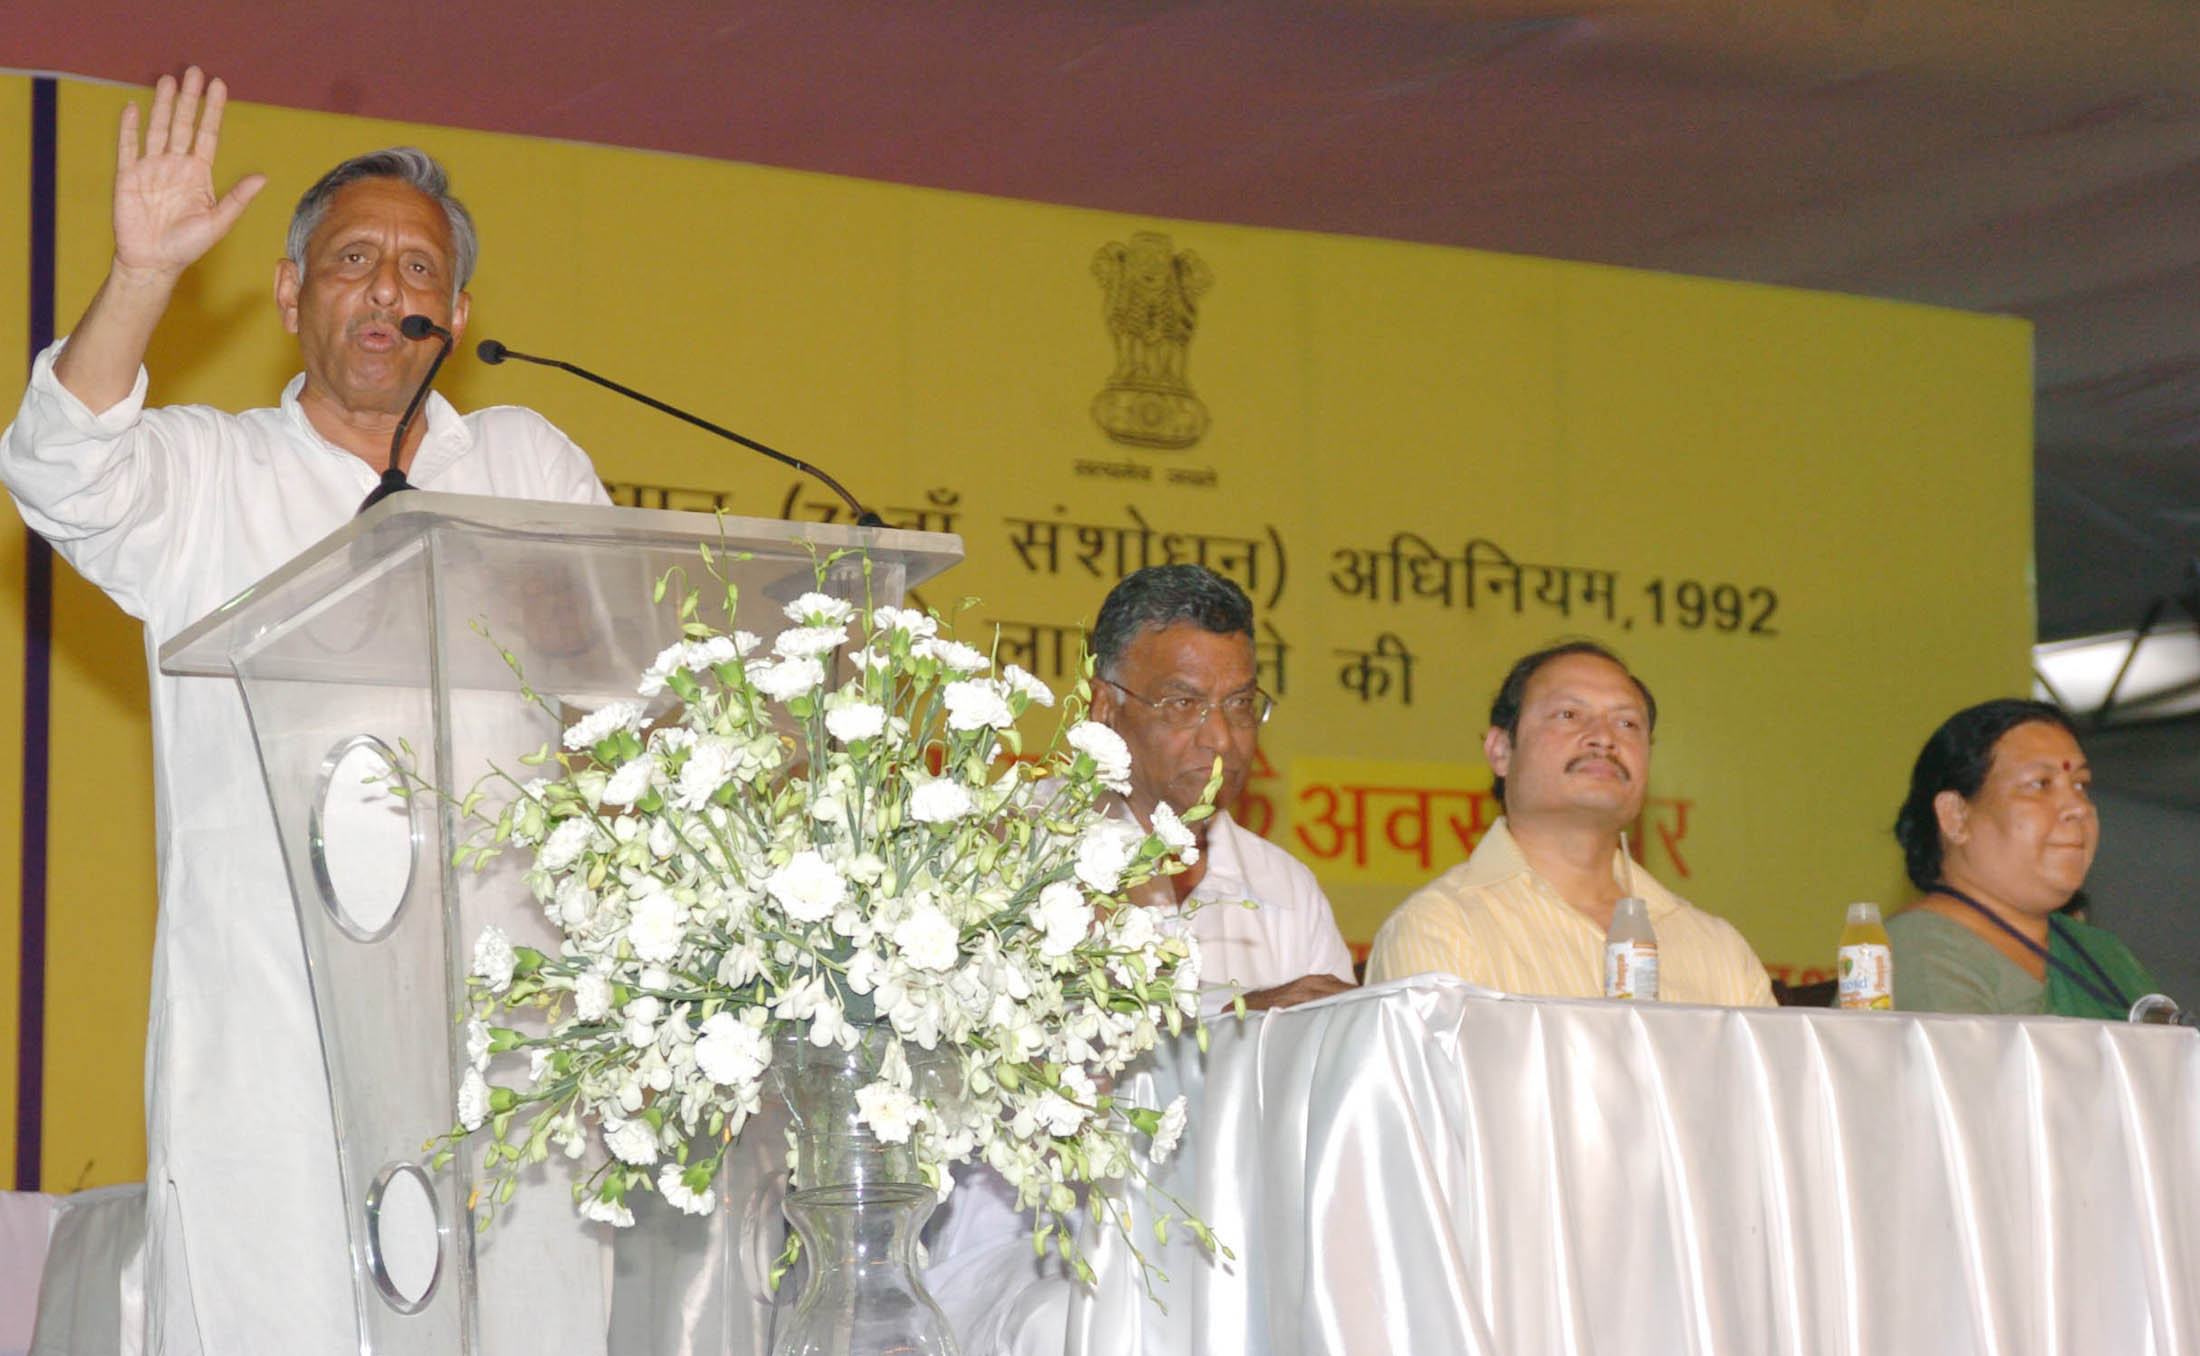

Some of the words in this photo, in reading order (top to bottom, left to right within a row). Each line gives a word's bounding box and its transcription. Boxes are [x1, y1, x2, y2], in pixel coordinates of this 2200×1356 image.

[1003, 501, 1265, 593] संशोधन
[1326, 524, 1622, 623] अधिनियम
[1649, 575, 1781, 635] 1992
[1336, 628, 1418, 710] की
[1288, 782, 1495, 871] अवर